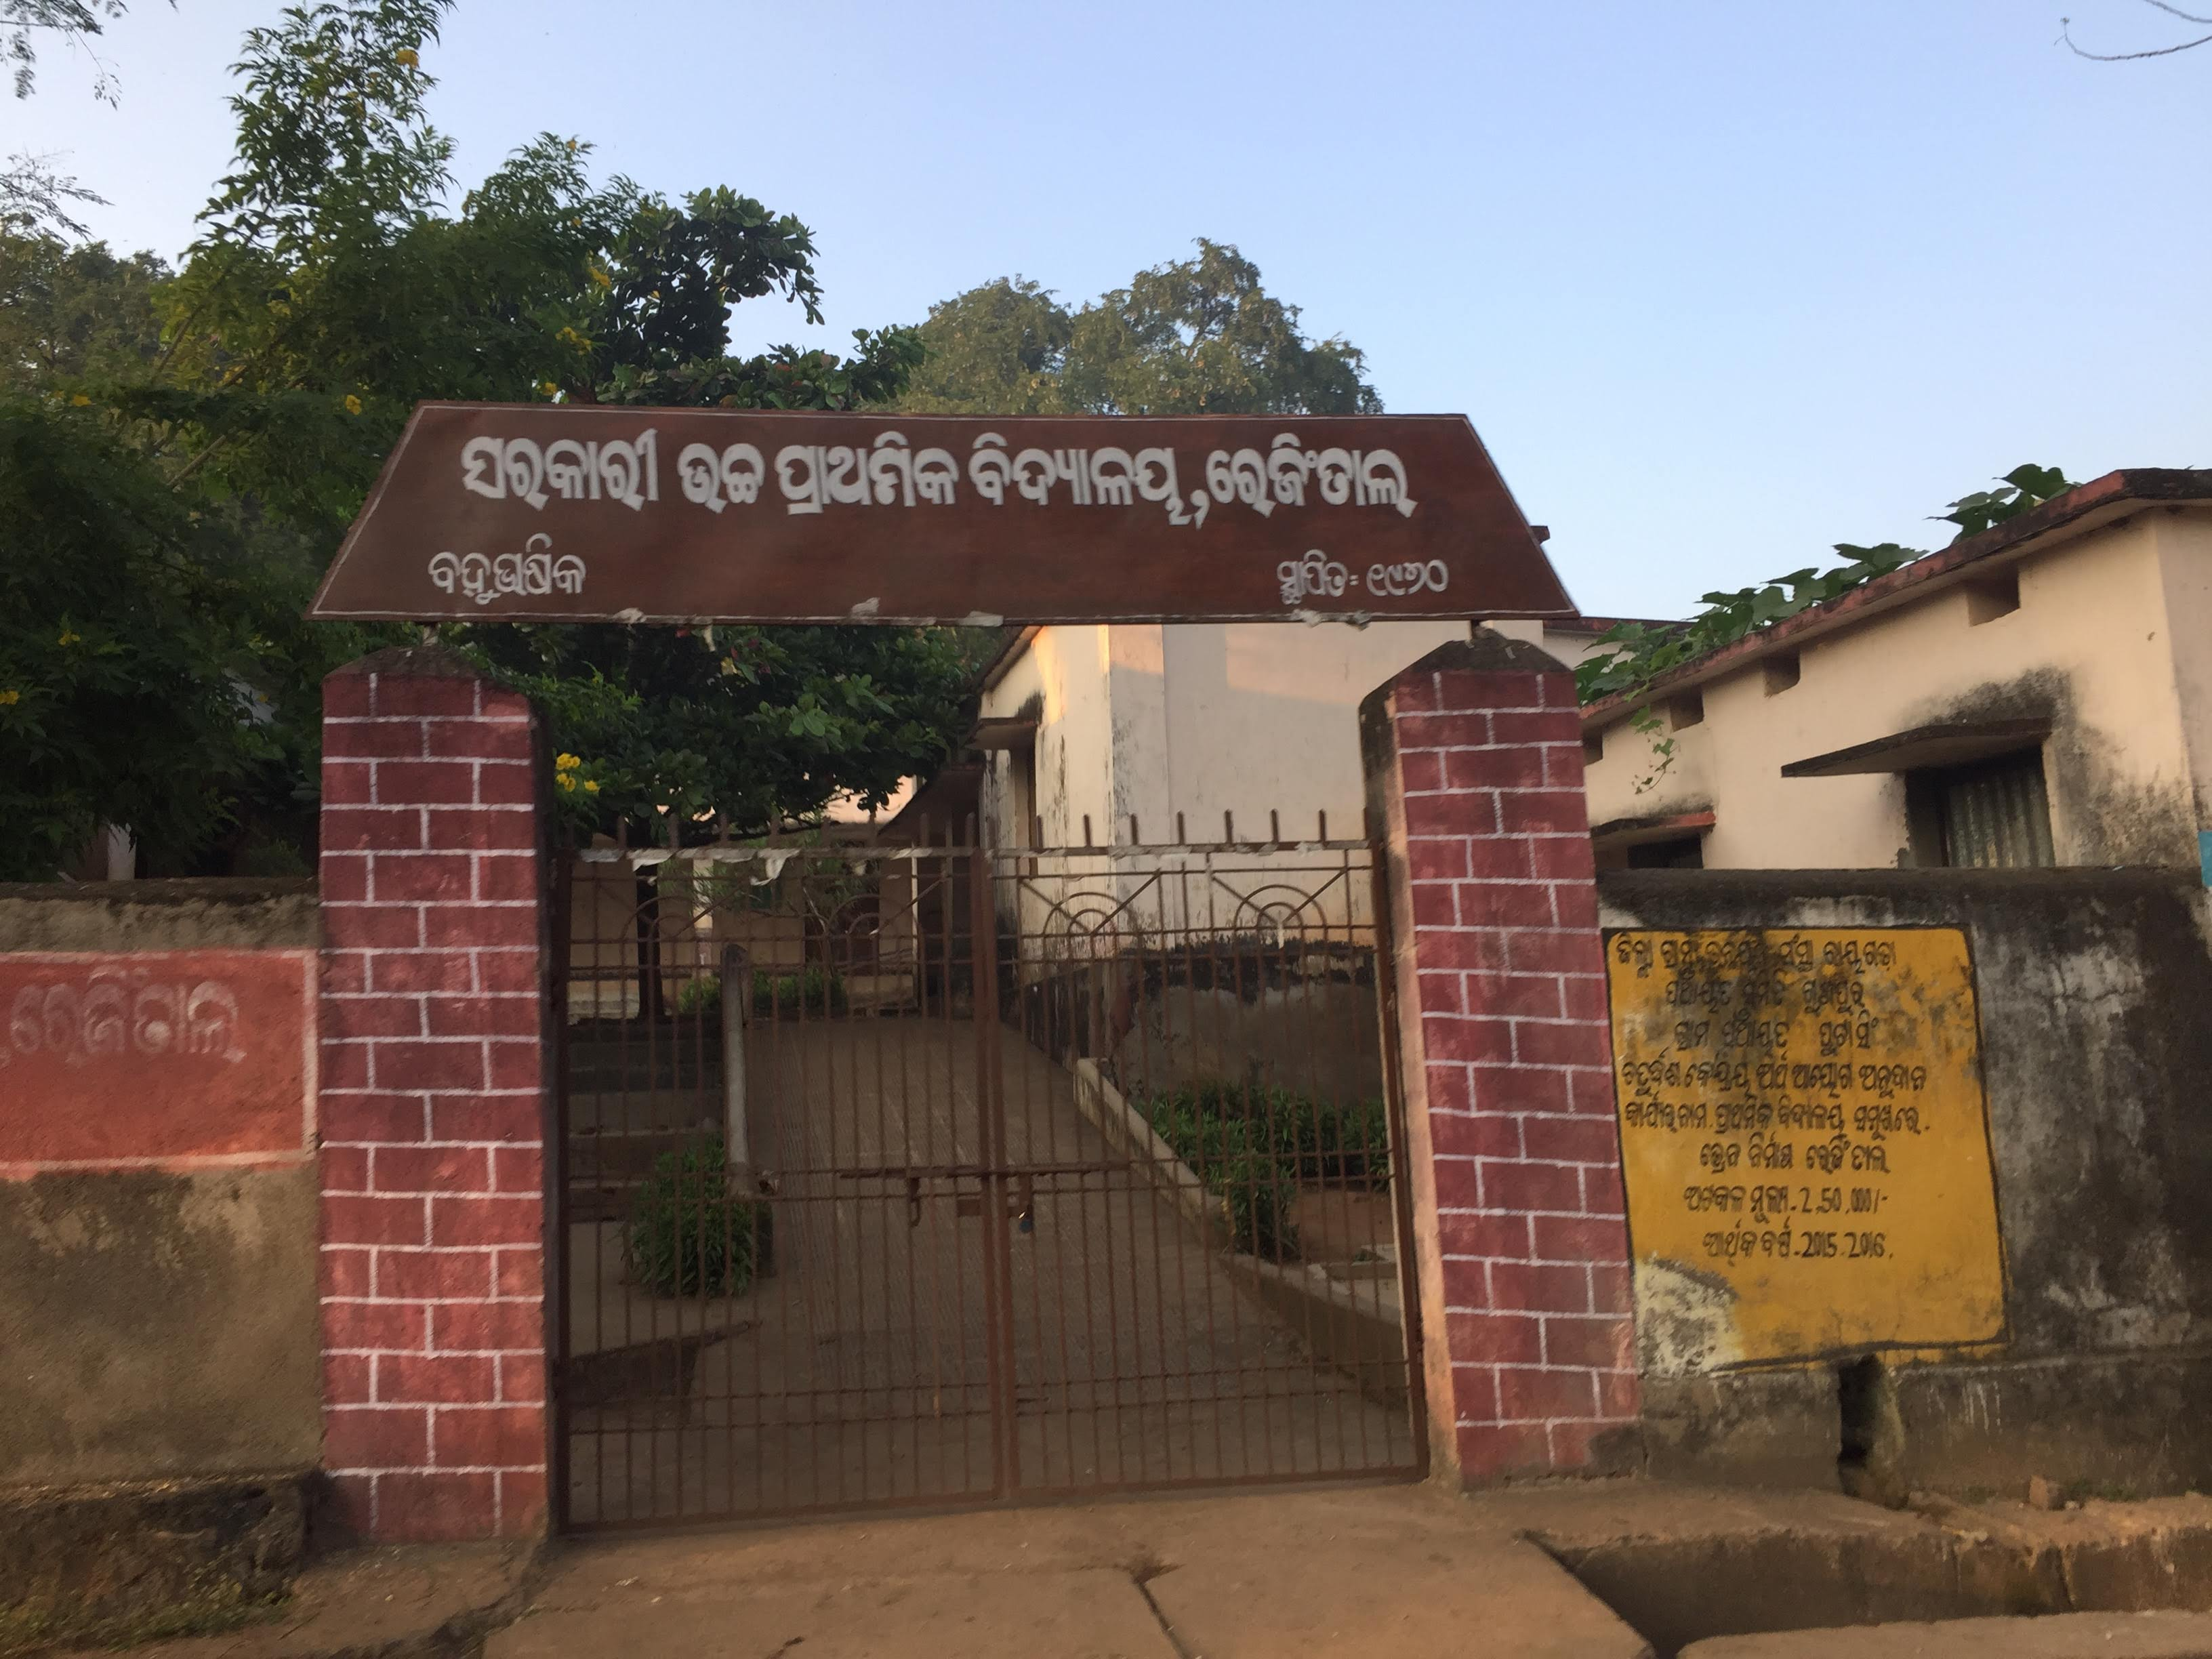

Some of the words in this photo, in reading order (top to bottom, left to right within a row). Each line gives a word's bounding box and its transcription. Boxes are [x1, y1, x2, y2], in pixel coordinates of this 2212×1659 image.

[459, 422, 665, 514] ସରକାରୀ
[667, 426, 769, 520] ଉଚ୍ଚ
[774, 423, 962, 522] ପ୍ରାଥମିକ
[954, 425, 1193, 529] ବିଦ୍ୟାଳୟ
[1201, 421, 1422, 522] ରେଜିତାଲ
[423, 522, 591, 610] ବଦ୍ଧଭଷିକ
[1272, 541, 1354, 611] ସ୍ଥାପନ
[1362, 550, 1456, 600] ୧୯୬୦
[1811, 1014, 1883, 1061] ପୁଟାସିଂ
[1679, 1059, 1761, 1104] କେନ୍ଦ୍ରୟ
[1747, 1059, 1790, 1094] ଅର୍ଥ
[1788, 1057, 1856, 1101] ଆୟୋଗ
[1859, 1059, 1933, 1101] ଅନୁଦାନ
[1622, 1094, 1710, 1135] କାର୍ଯ୍ୟରନାମ
[1851, 1097, 1924, 1144] ସମୁଖରେ
[1695, 1139, 1746, 1179] କ୍ରେଜ
[1744, 1125, 1797, 1172] ନିର୍ମାଣ
[1801, 1133, 1893, 1179] ବୋଜିଚାଲି
[1746, 1179, 1791, 1229] ମୂଲା
[1795, 1183, 1881, 1218] 2,50,000/
[1696, 1216, 1799, 1269] ଆର୍ଥକ ବର୍ଷ
[1798, 1227, 1889, 1261] 2015.2016